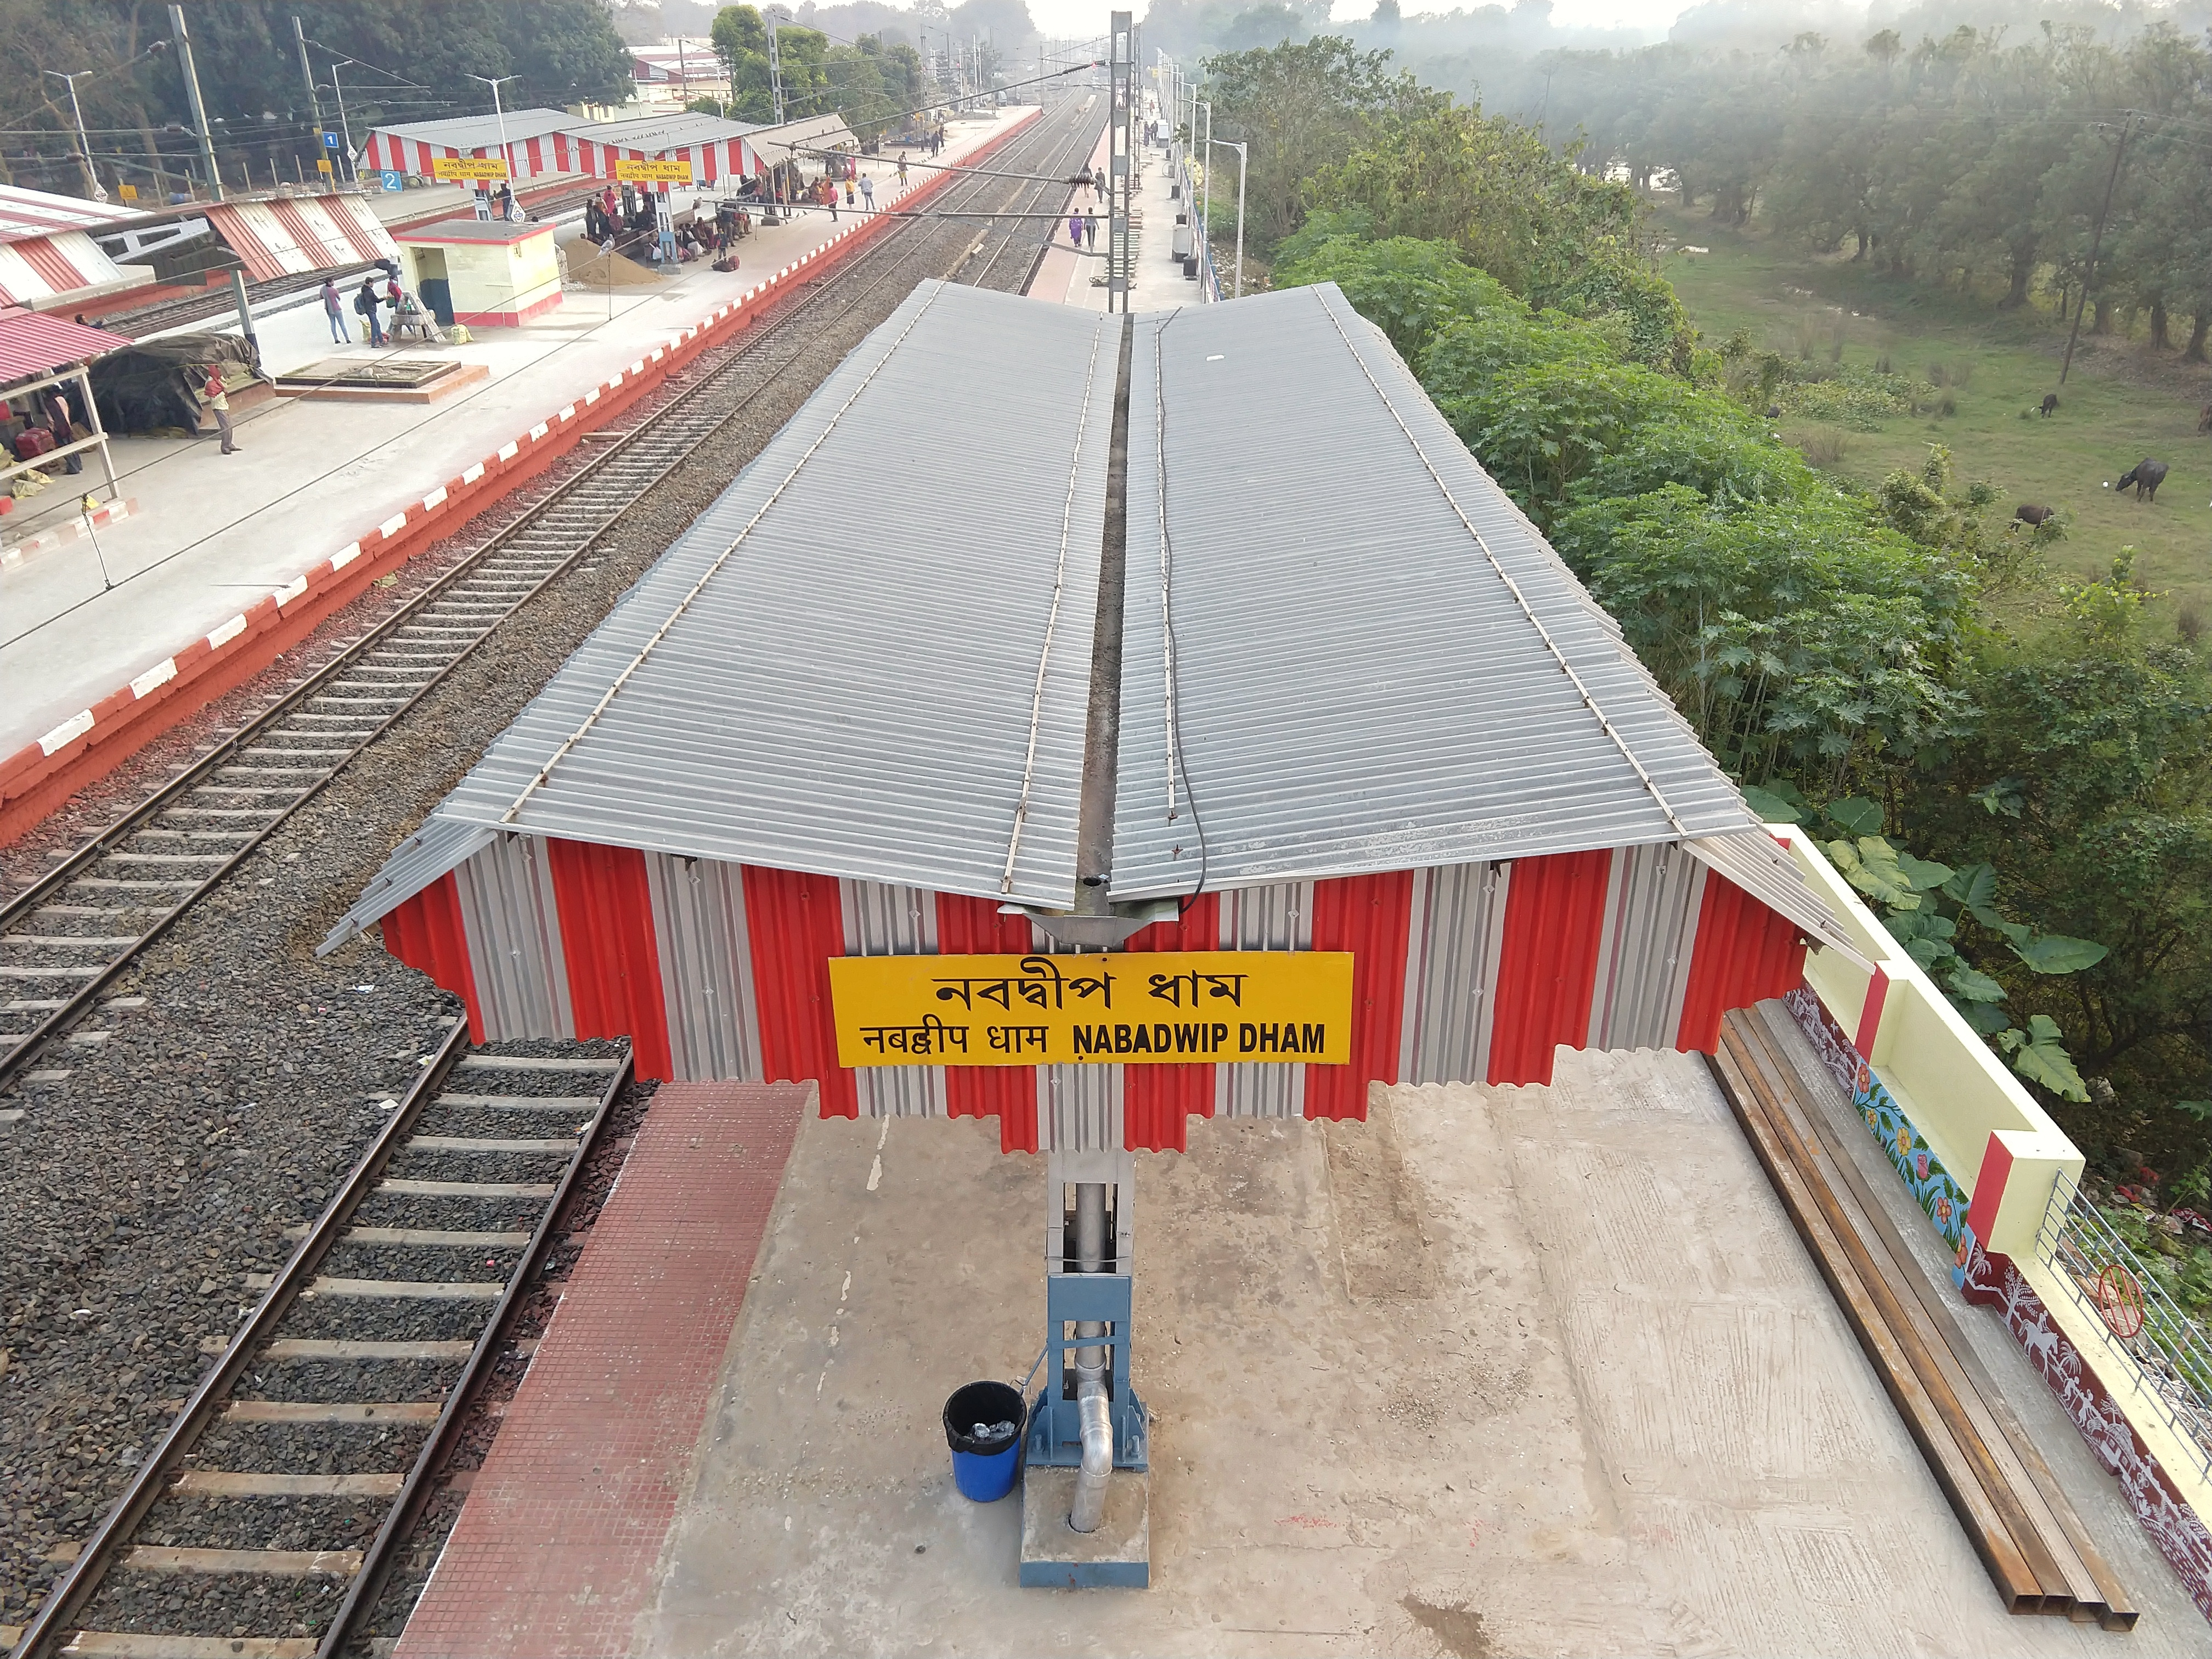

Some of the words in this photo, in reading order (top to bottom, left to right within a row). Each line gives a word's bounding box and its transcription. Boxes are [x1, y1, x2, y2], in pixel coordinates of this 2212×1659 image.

[434, 166, 459, 180] नबद्वीप
[442, 155, 478, 172] নবদ্বীপ
[456, 166, 475, 179] धाम
[475, 157, 501, 172] ধাম
[618, 167, 640, 182] নবদ্বীপ
[625, 156, 661, 174] নবদ্বীপ
[639, 170, 653, 180] धाम
[661, 158, 682, 173] ধাম
[930, 953, 1119, 1014] নবদ্বীপ
[1148, 960, 1248, 1014] ধাম
[859, 1012, 974, 1057] नबद्वीप
[979, 1017, 1052, 1059] धाम
[1070, 1018, 1231, 1057] NABADWIP
[1237, 1018, 1329, 1056] DHAM